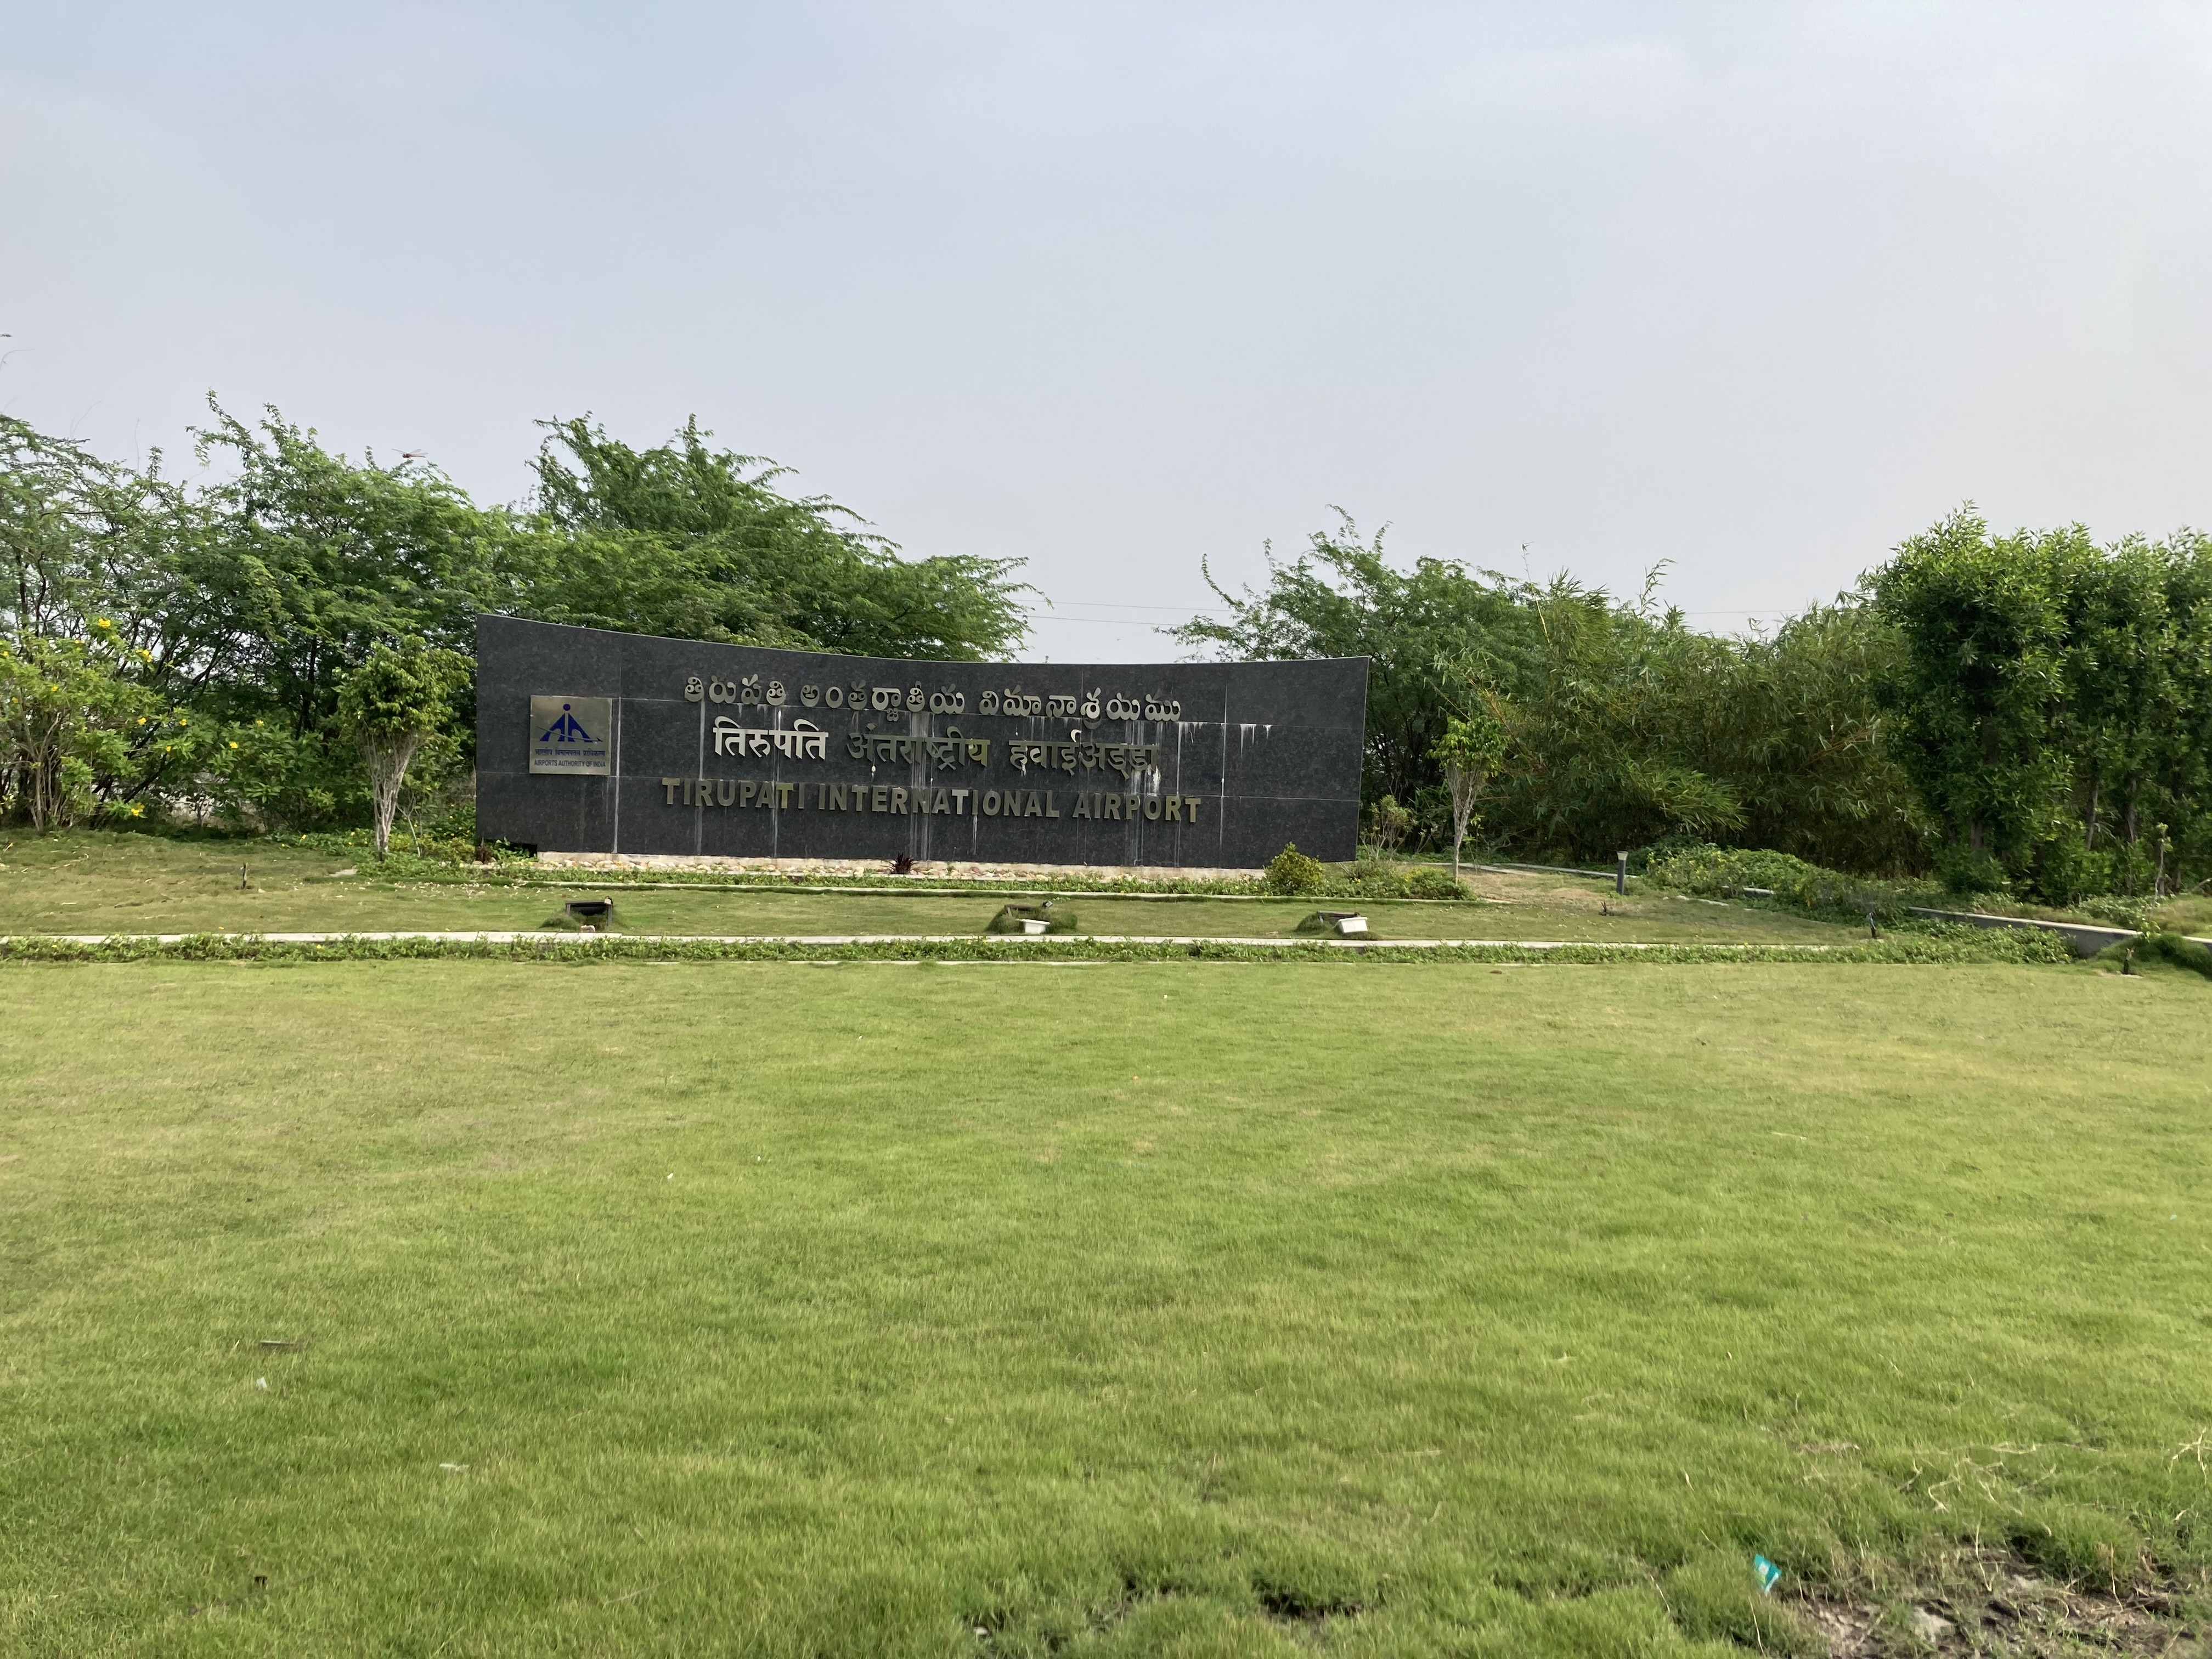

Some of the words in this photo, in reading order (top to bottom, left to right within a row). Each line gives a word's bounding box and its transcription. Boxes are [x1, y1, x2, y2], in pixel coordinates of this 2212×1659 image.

[680, 672, 787, 709] తిరుపతి
[799, 676, 969, 724] అంతర్జాతీయ
[974, 682, 1184, 732] విమానాశయము
[533, 744, 556, 757] भारतीय
[533, 757, 559, 769] AIRPORTS
[550, 743, 582, 757] विमानपतन
[557, 757, 586, 769] AUTHORITY
[582, 759, 594, 769] OF
[580, 746, 606, 759] प्राधिकरण
[591, 760, 607, 770] INDIA
[705, 710, 831, 762] तिरुपति
[847, 719, 991, 771] अंतराष्ट्रीय
[1007, 724, 1161, 782] हवाईअड्डा
[659, 774, 809, 812] TIRUPATI
[816, 781, 1063, 819] INTERNATIONAL
[1070, 789, 1201, 825] AIRPORT